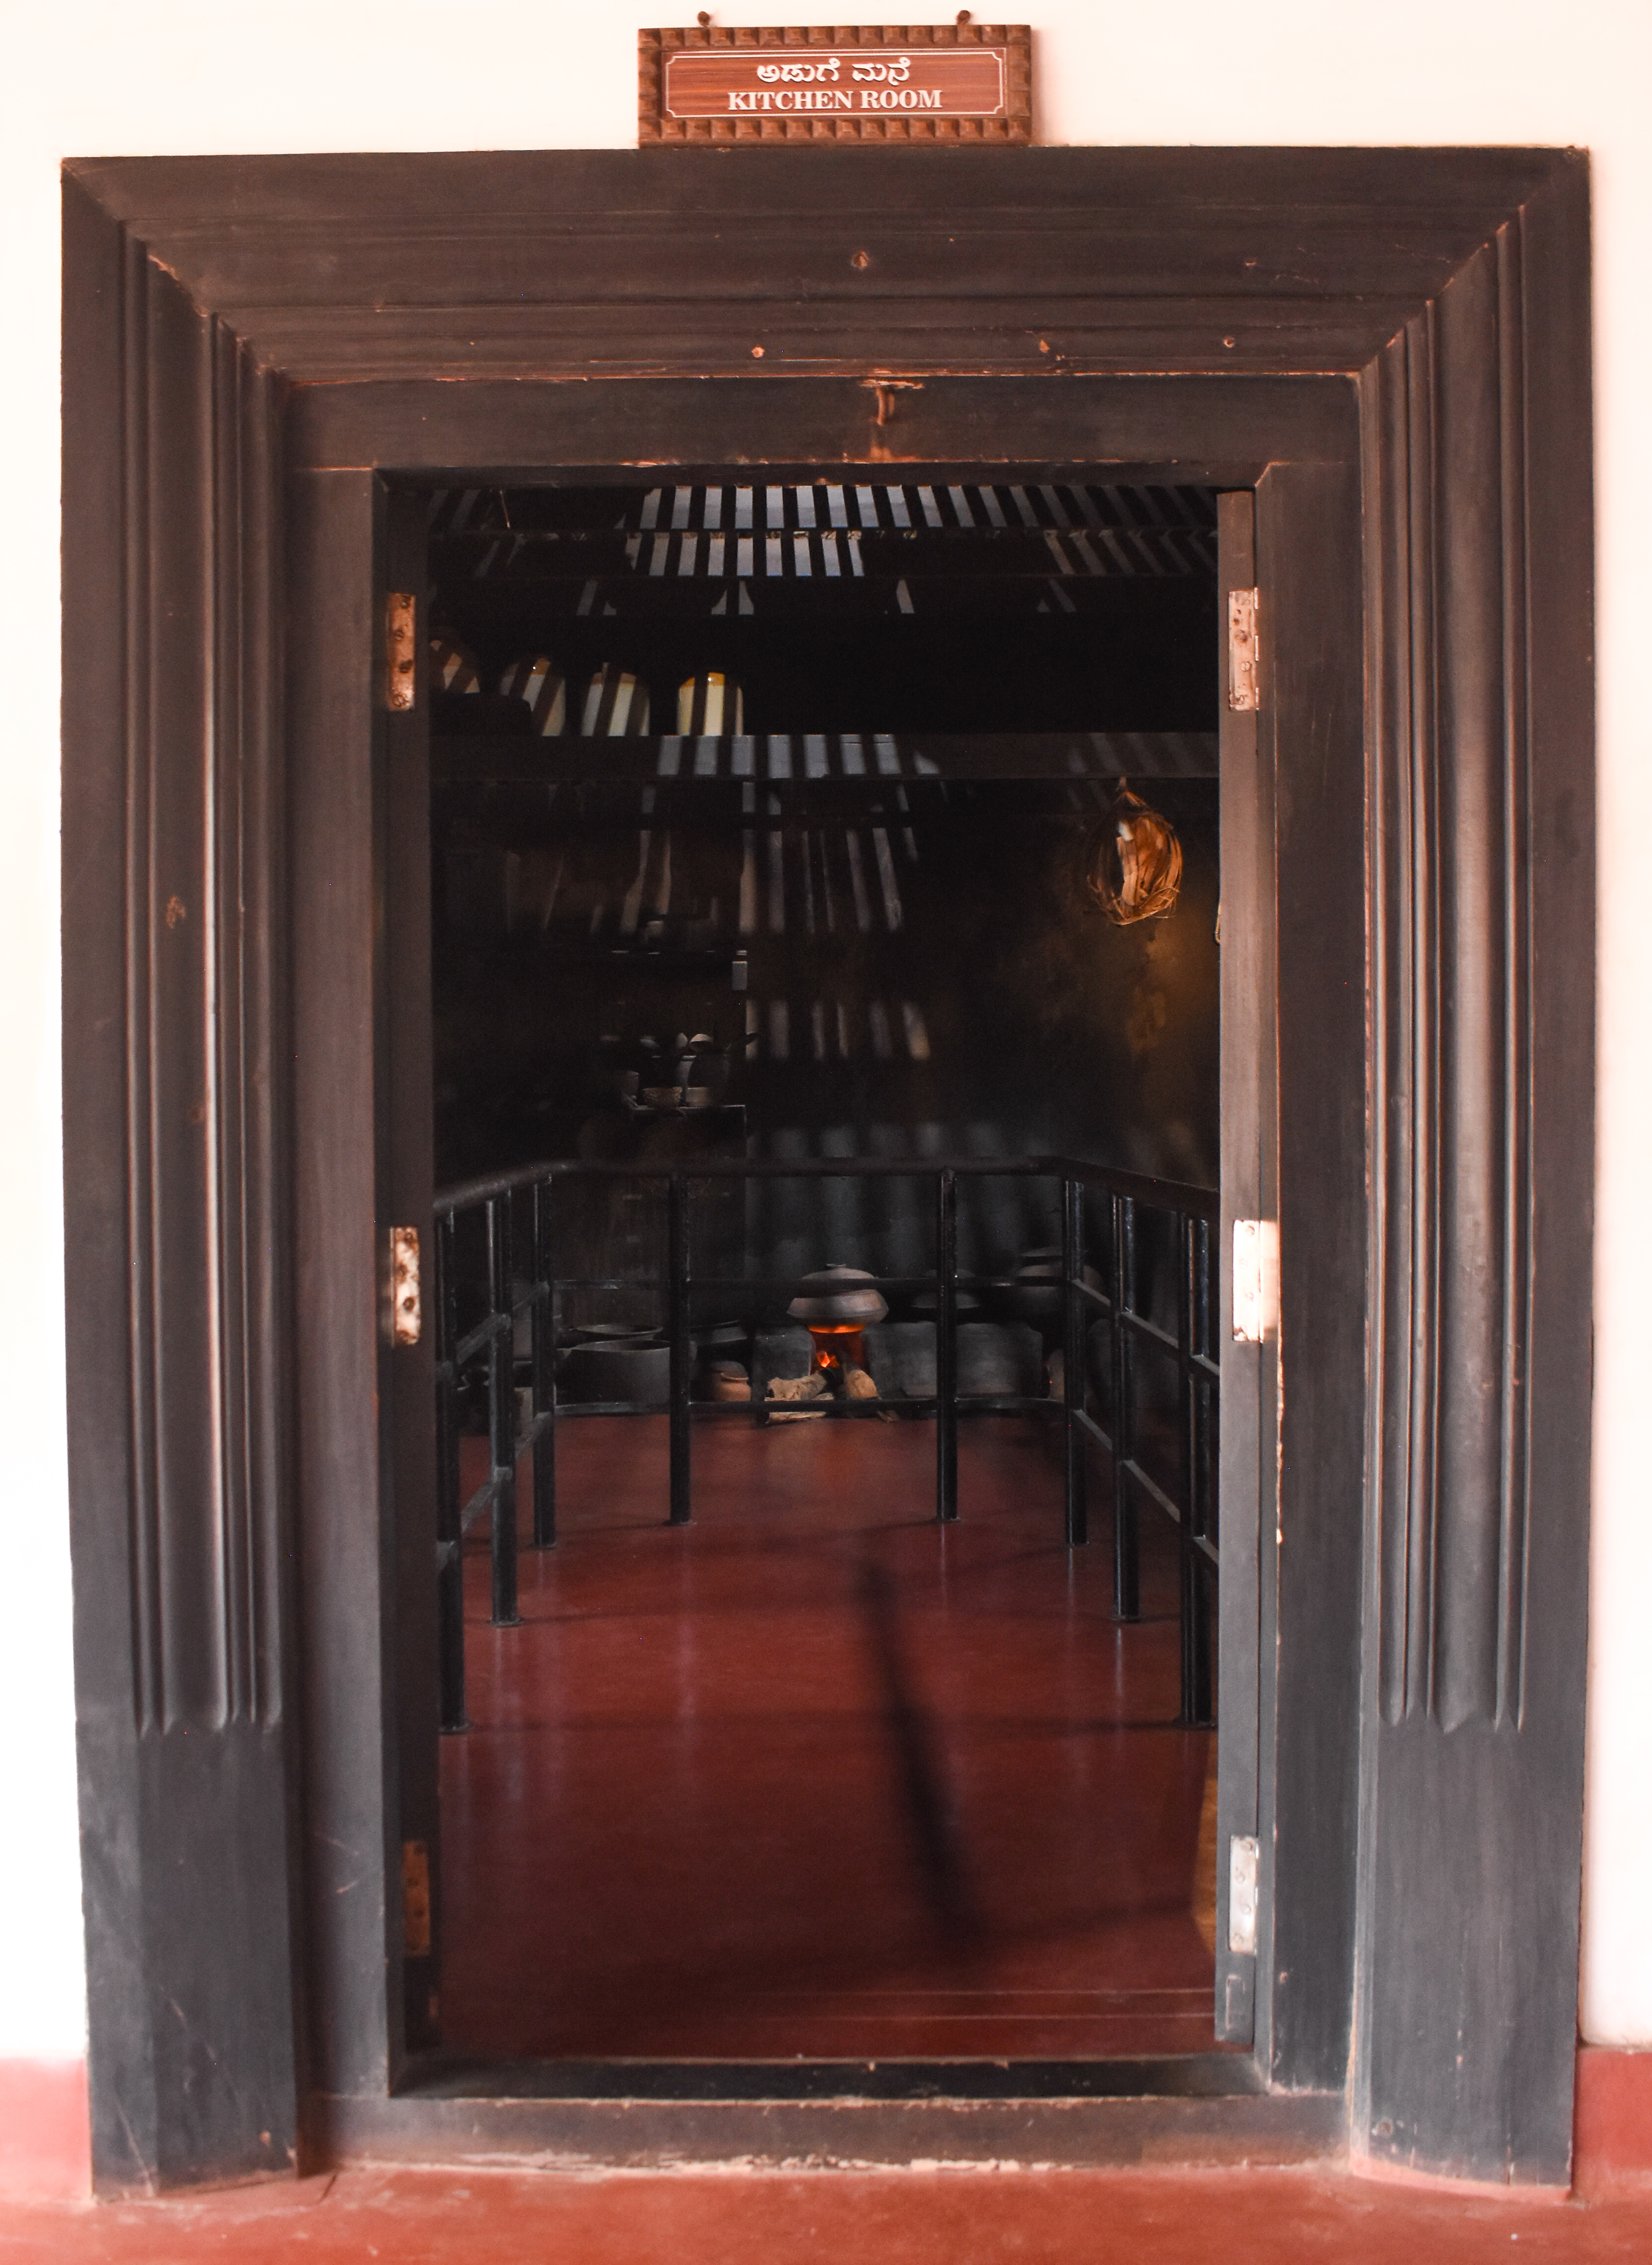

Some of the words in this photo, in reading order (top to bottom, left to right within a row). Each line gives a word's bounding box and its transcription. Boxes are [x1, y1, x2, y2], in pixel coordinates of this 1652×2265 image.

[753, 54, 844, 85] ಅಡುಗ
[847, 52, 914, 88] ಮನೆ
[725, 86, 853, 113] KITCHEN
[856, 86, 943, 112] ROOM